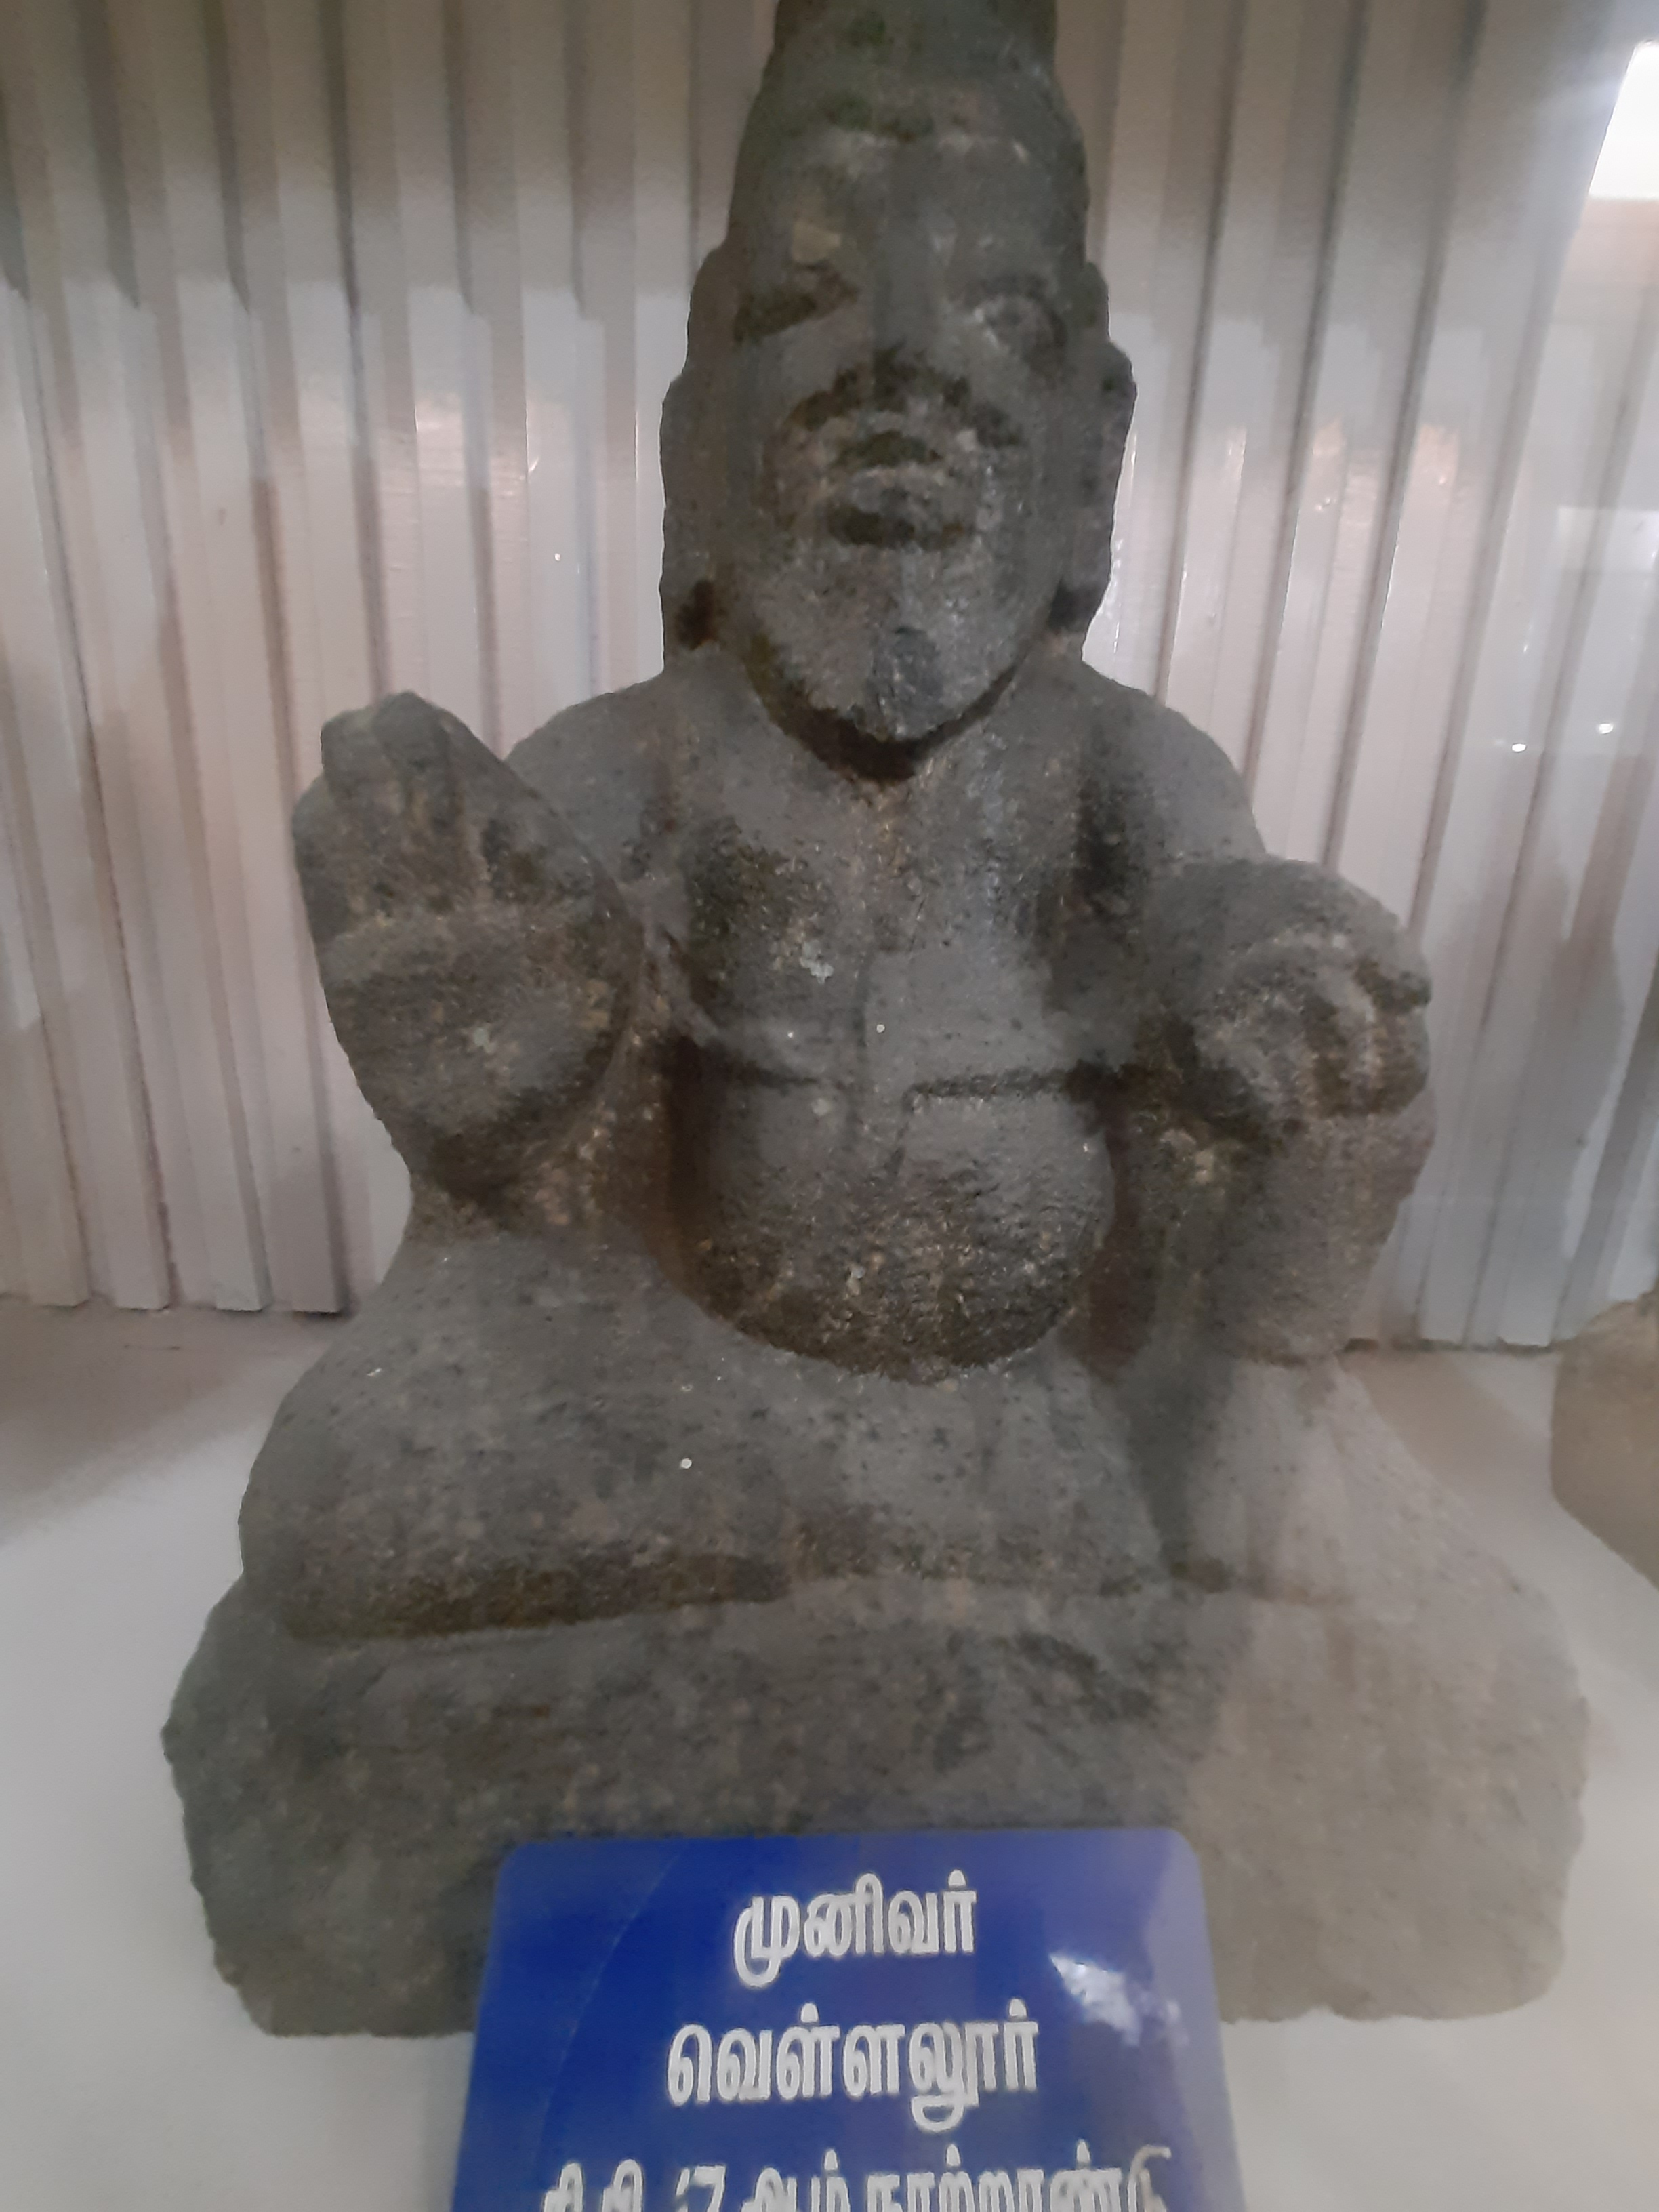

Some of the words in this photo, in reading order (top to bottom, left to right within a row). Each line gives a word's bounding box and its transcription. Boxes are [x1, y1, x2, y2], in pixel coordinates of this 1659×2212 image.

[720, 1864, 983, 1995] முனிவா்
[657, 1988, 1050, 2142] வெள்ளலூா்